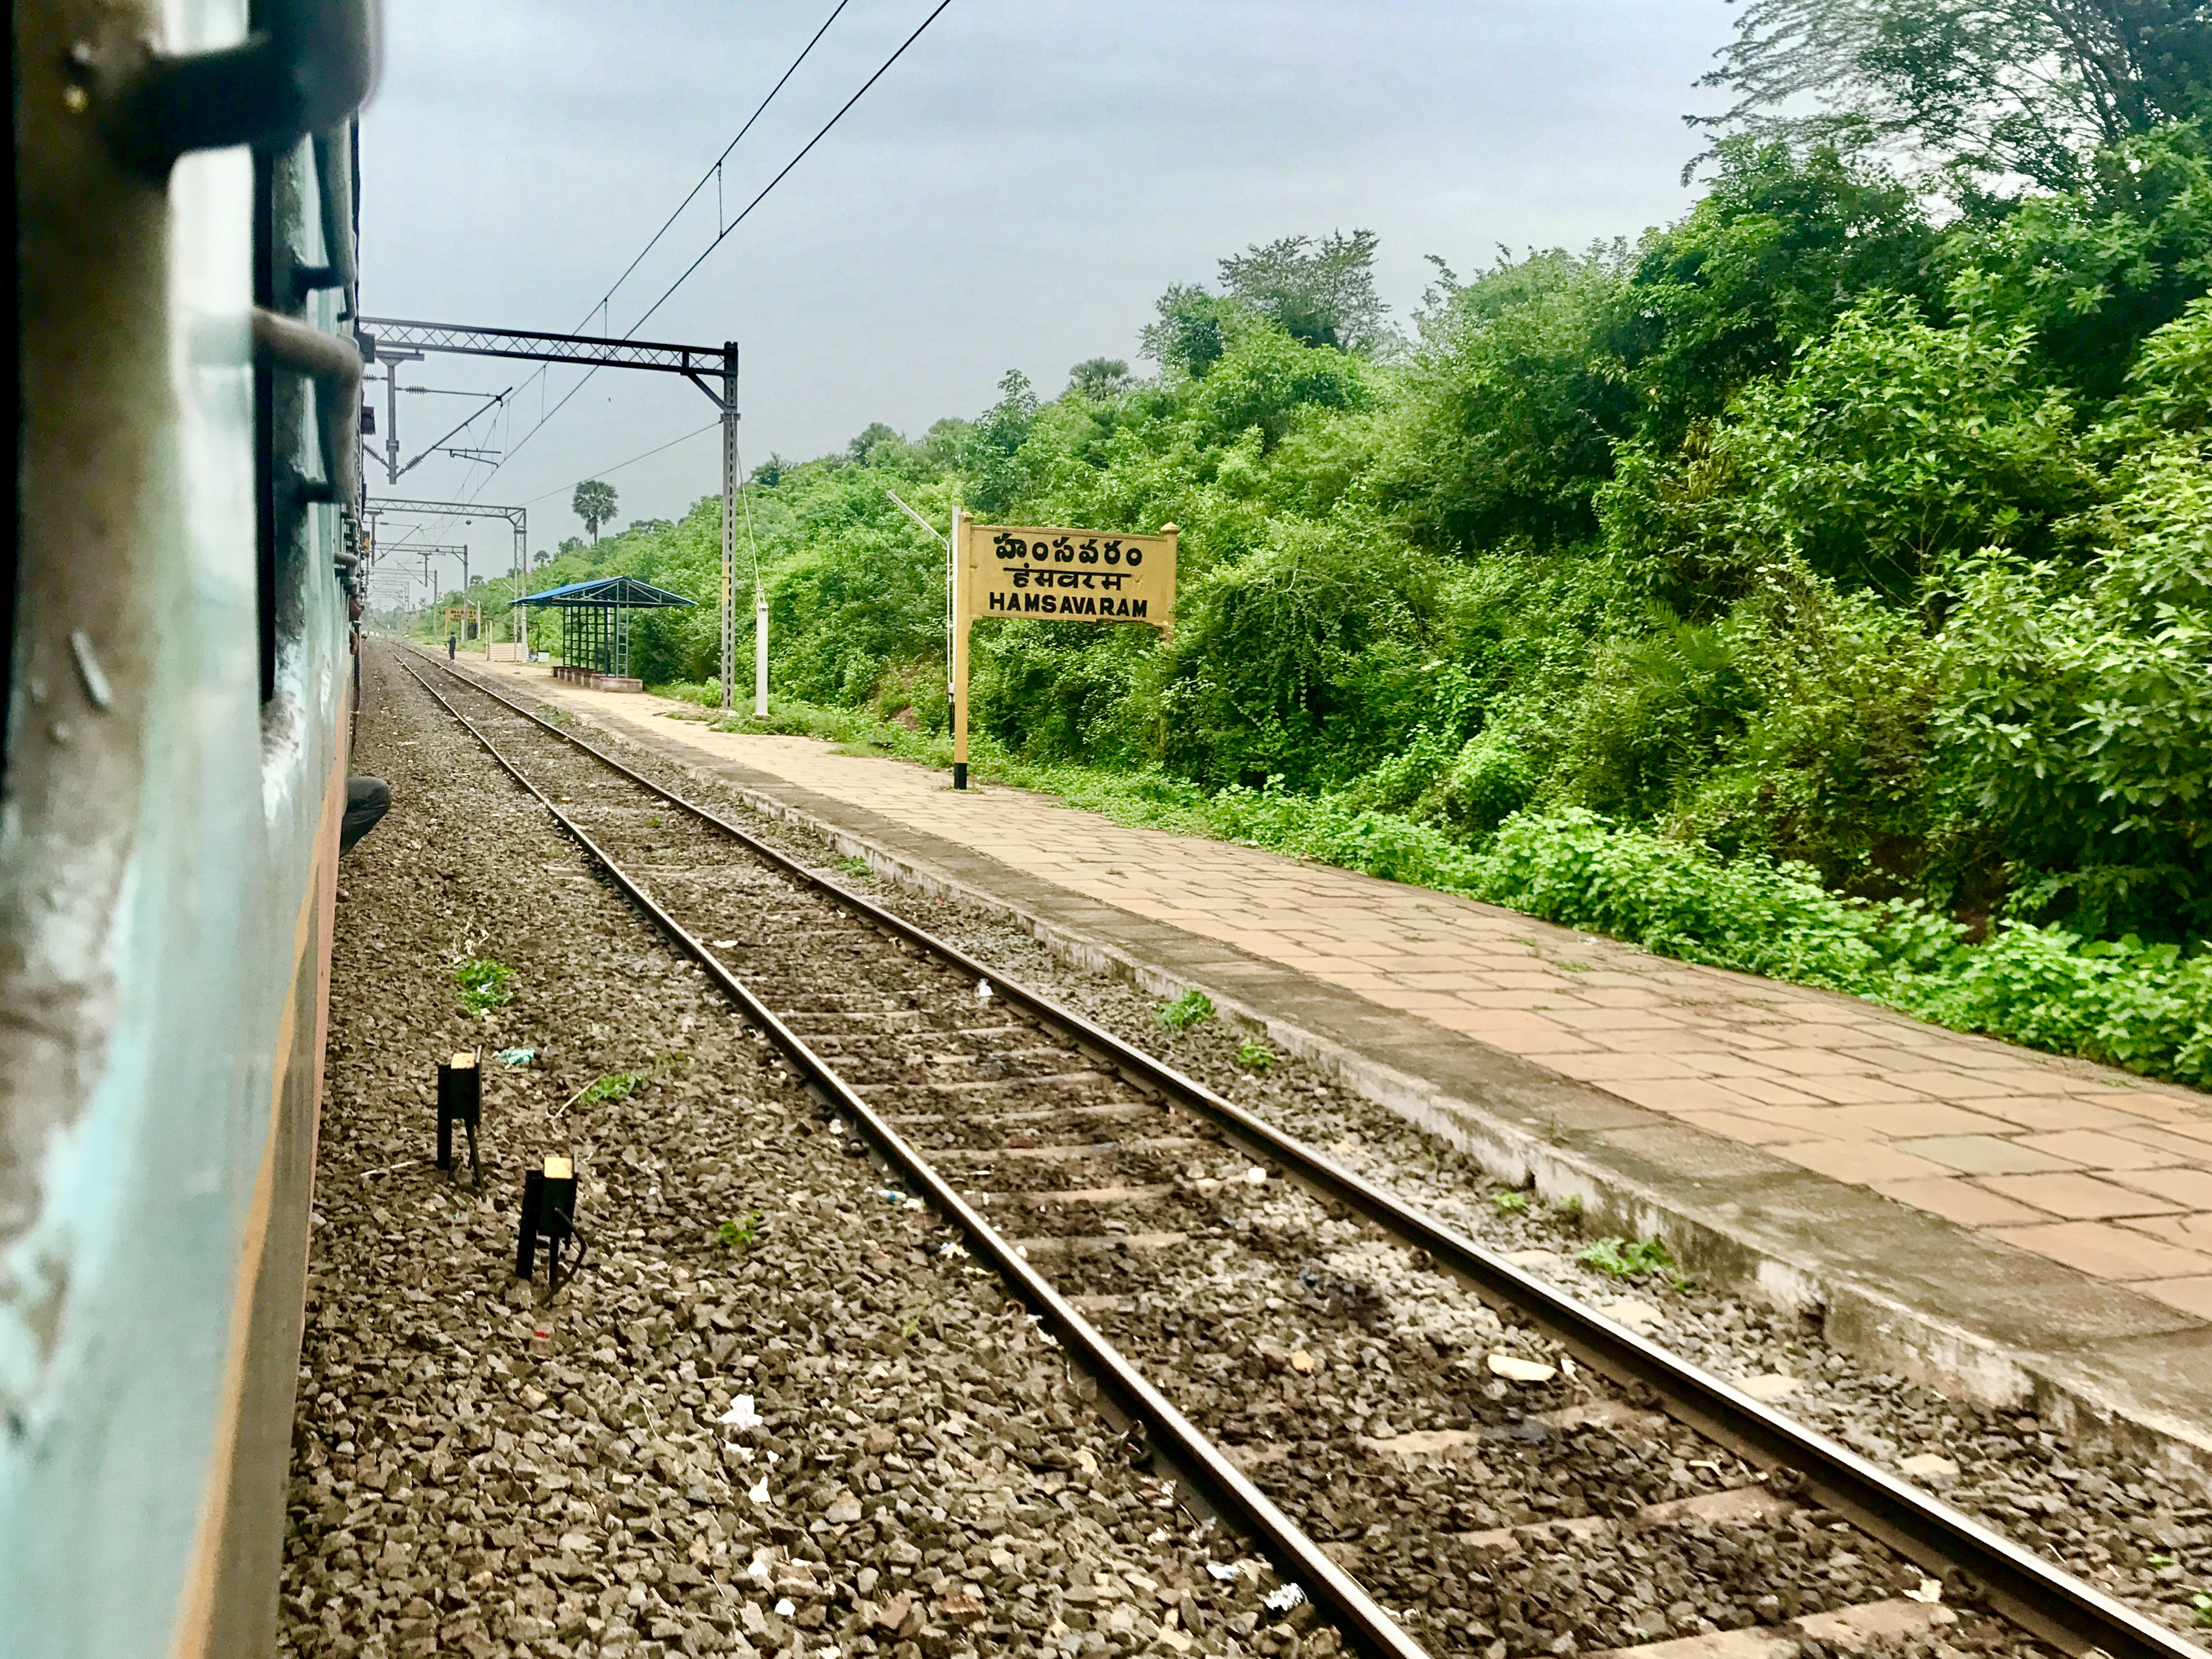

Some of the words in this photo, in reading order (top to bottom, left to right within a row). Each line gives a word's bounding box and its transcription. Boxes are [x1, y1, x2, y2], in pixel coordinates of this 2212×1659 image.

[988, 528, 1144, 570] హంసవరం
[1003, 558, 1134, 593] हंसवरम
[986, 589, 1150, 620] HAMSAVARAM